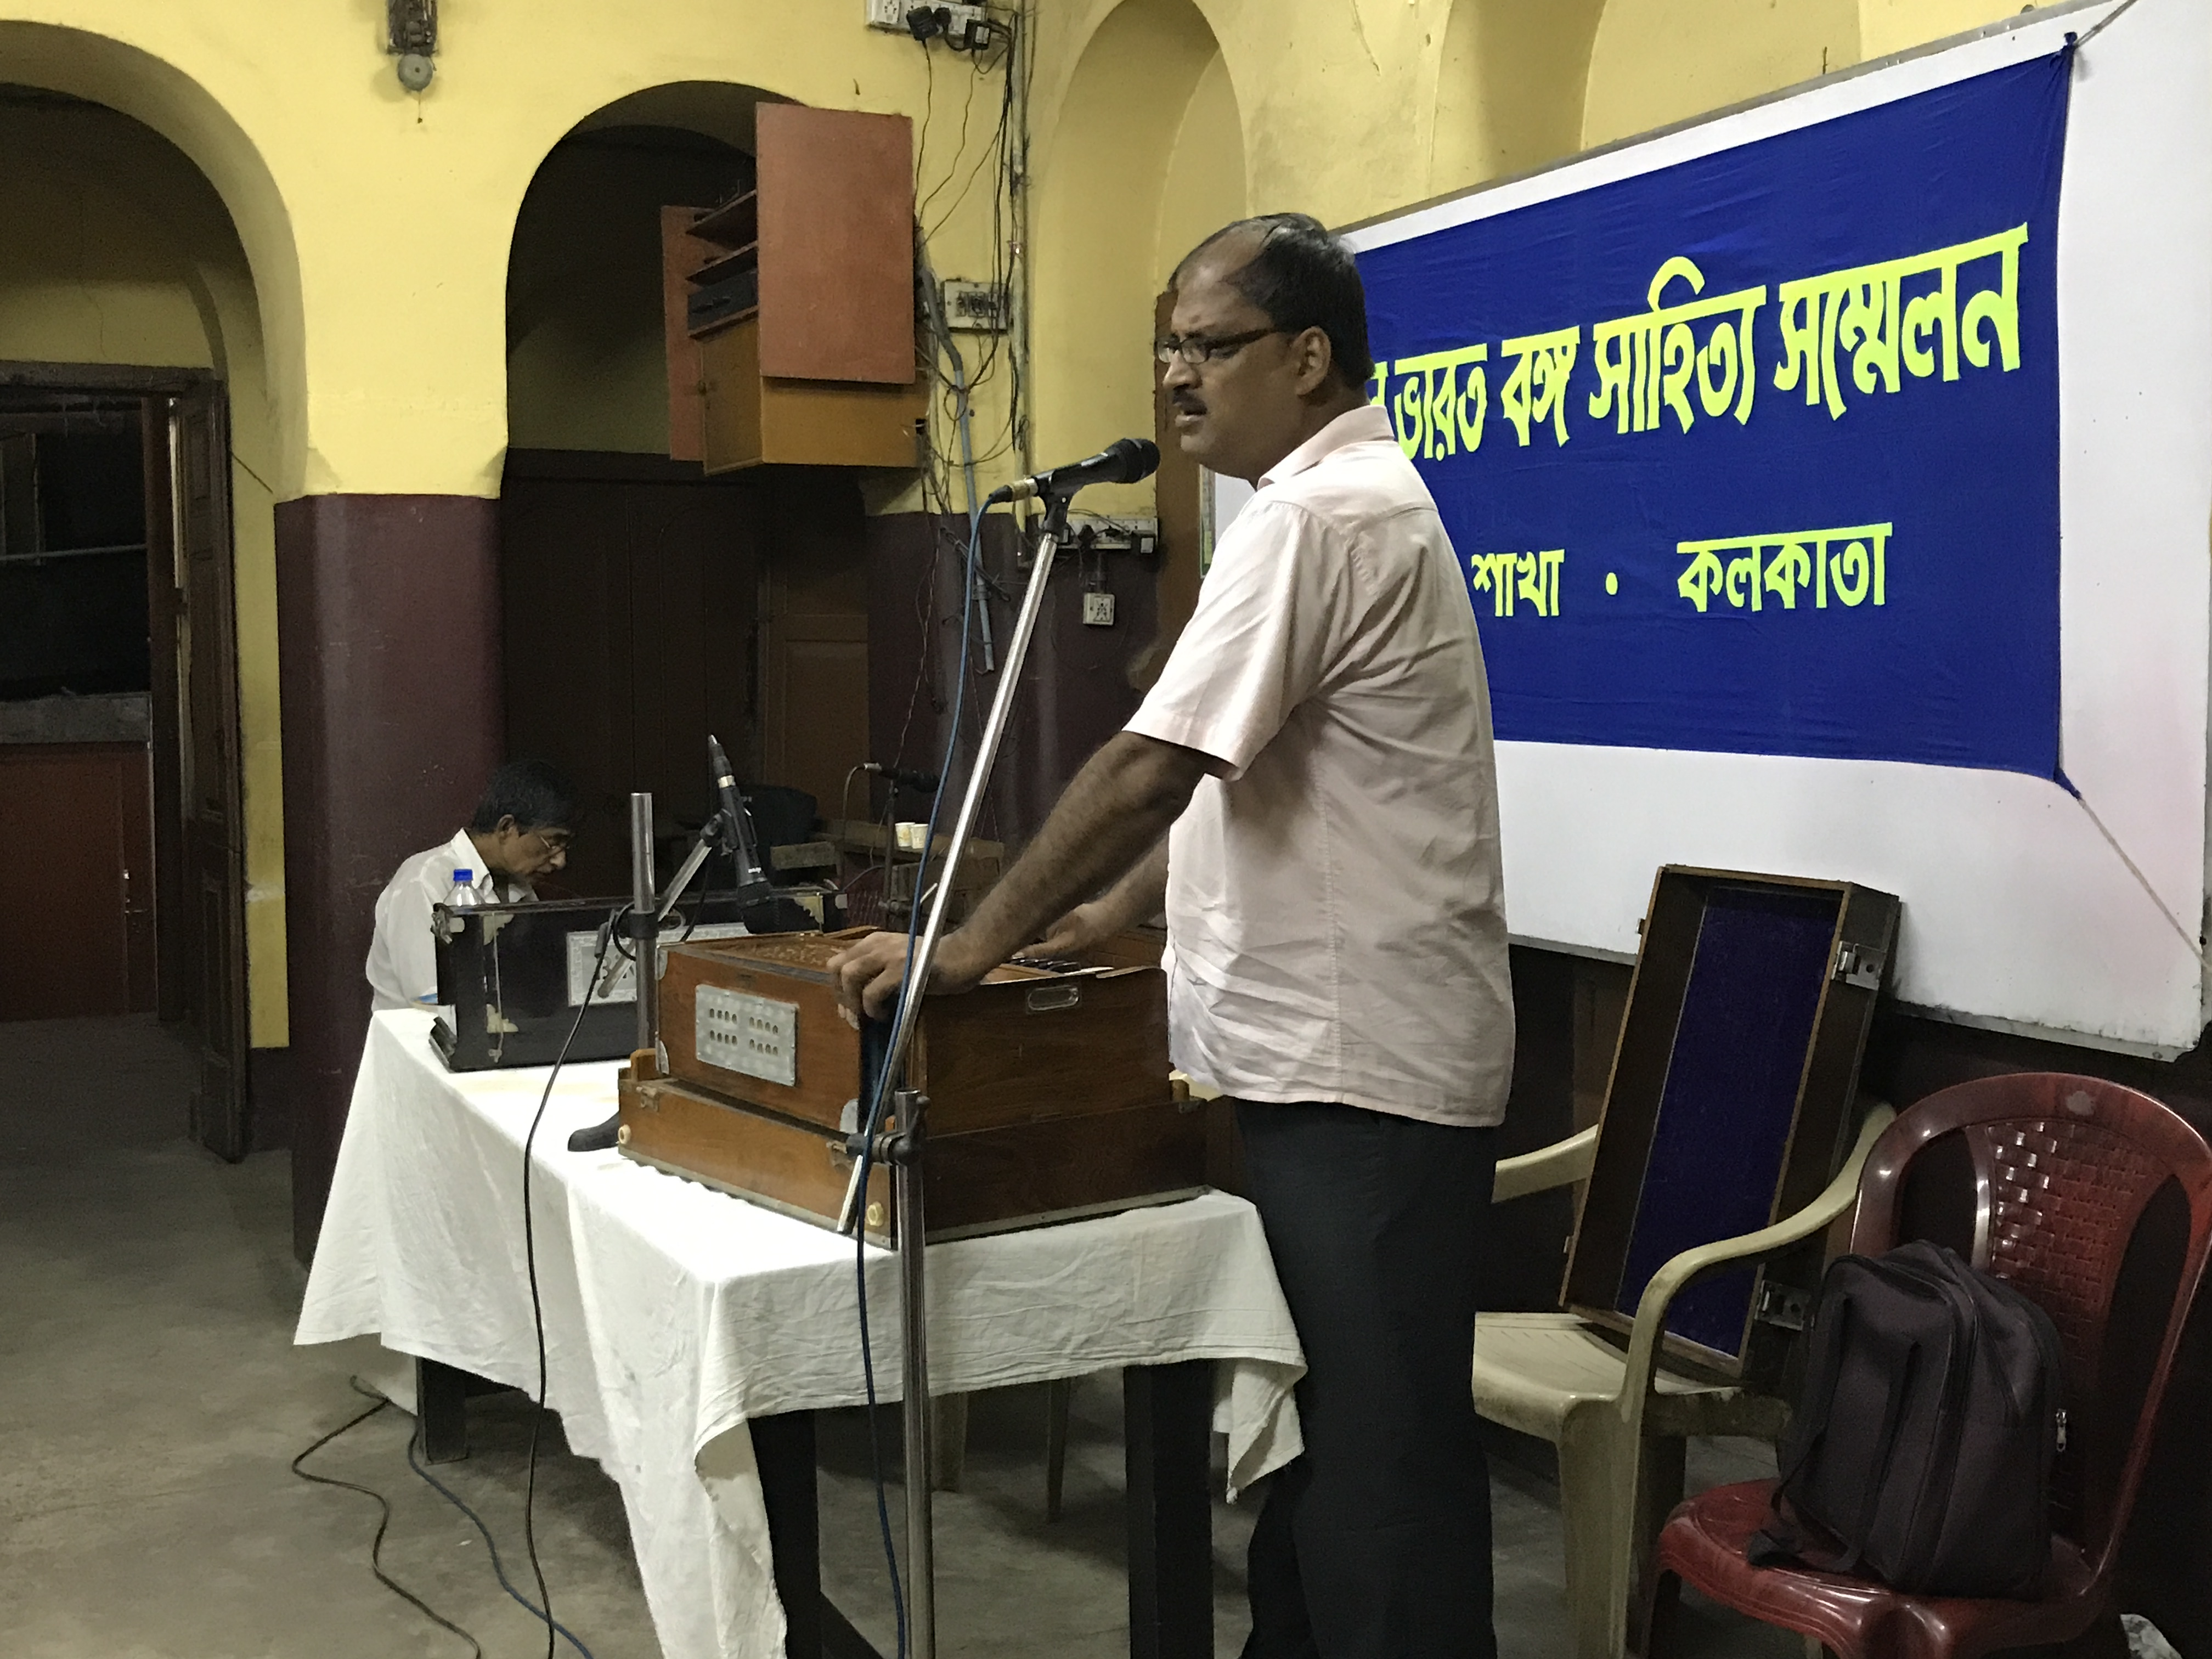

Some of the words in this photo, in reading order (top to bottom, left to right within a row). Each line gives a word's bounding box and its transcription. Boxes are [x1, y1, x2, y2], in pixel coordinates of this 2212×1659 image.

[1390, 337, 1505, 467] ভারত
[1494, 315, 1588, 457] বঙ্গ
[1576, 245, 1776, 445] সাহিত্য
[1765, 218, 2032, 426] সম্মেলন
[1460, 539, 1572, 624] শাখা
[1669, 517, 1894, 620] কলকাতা